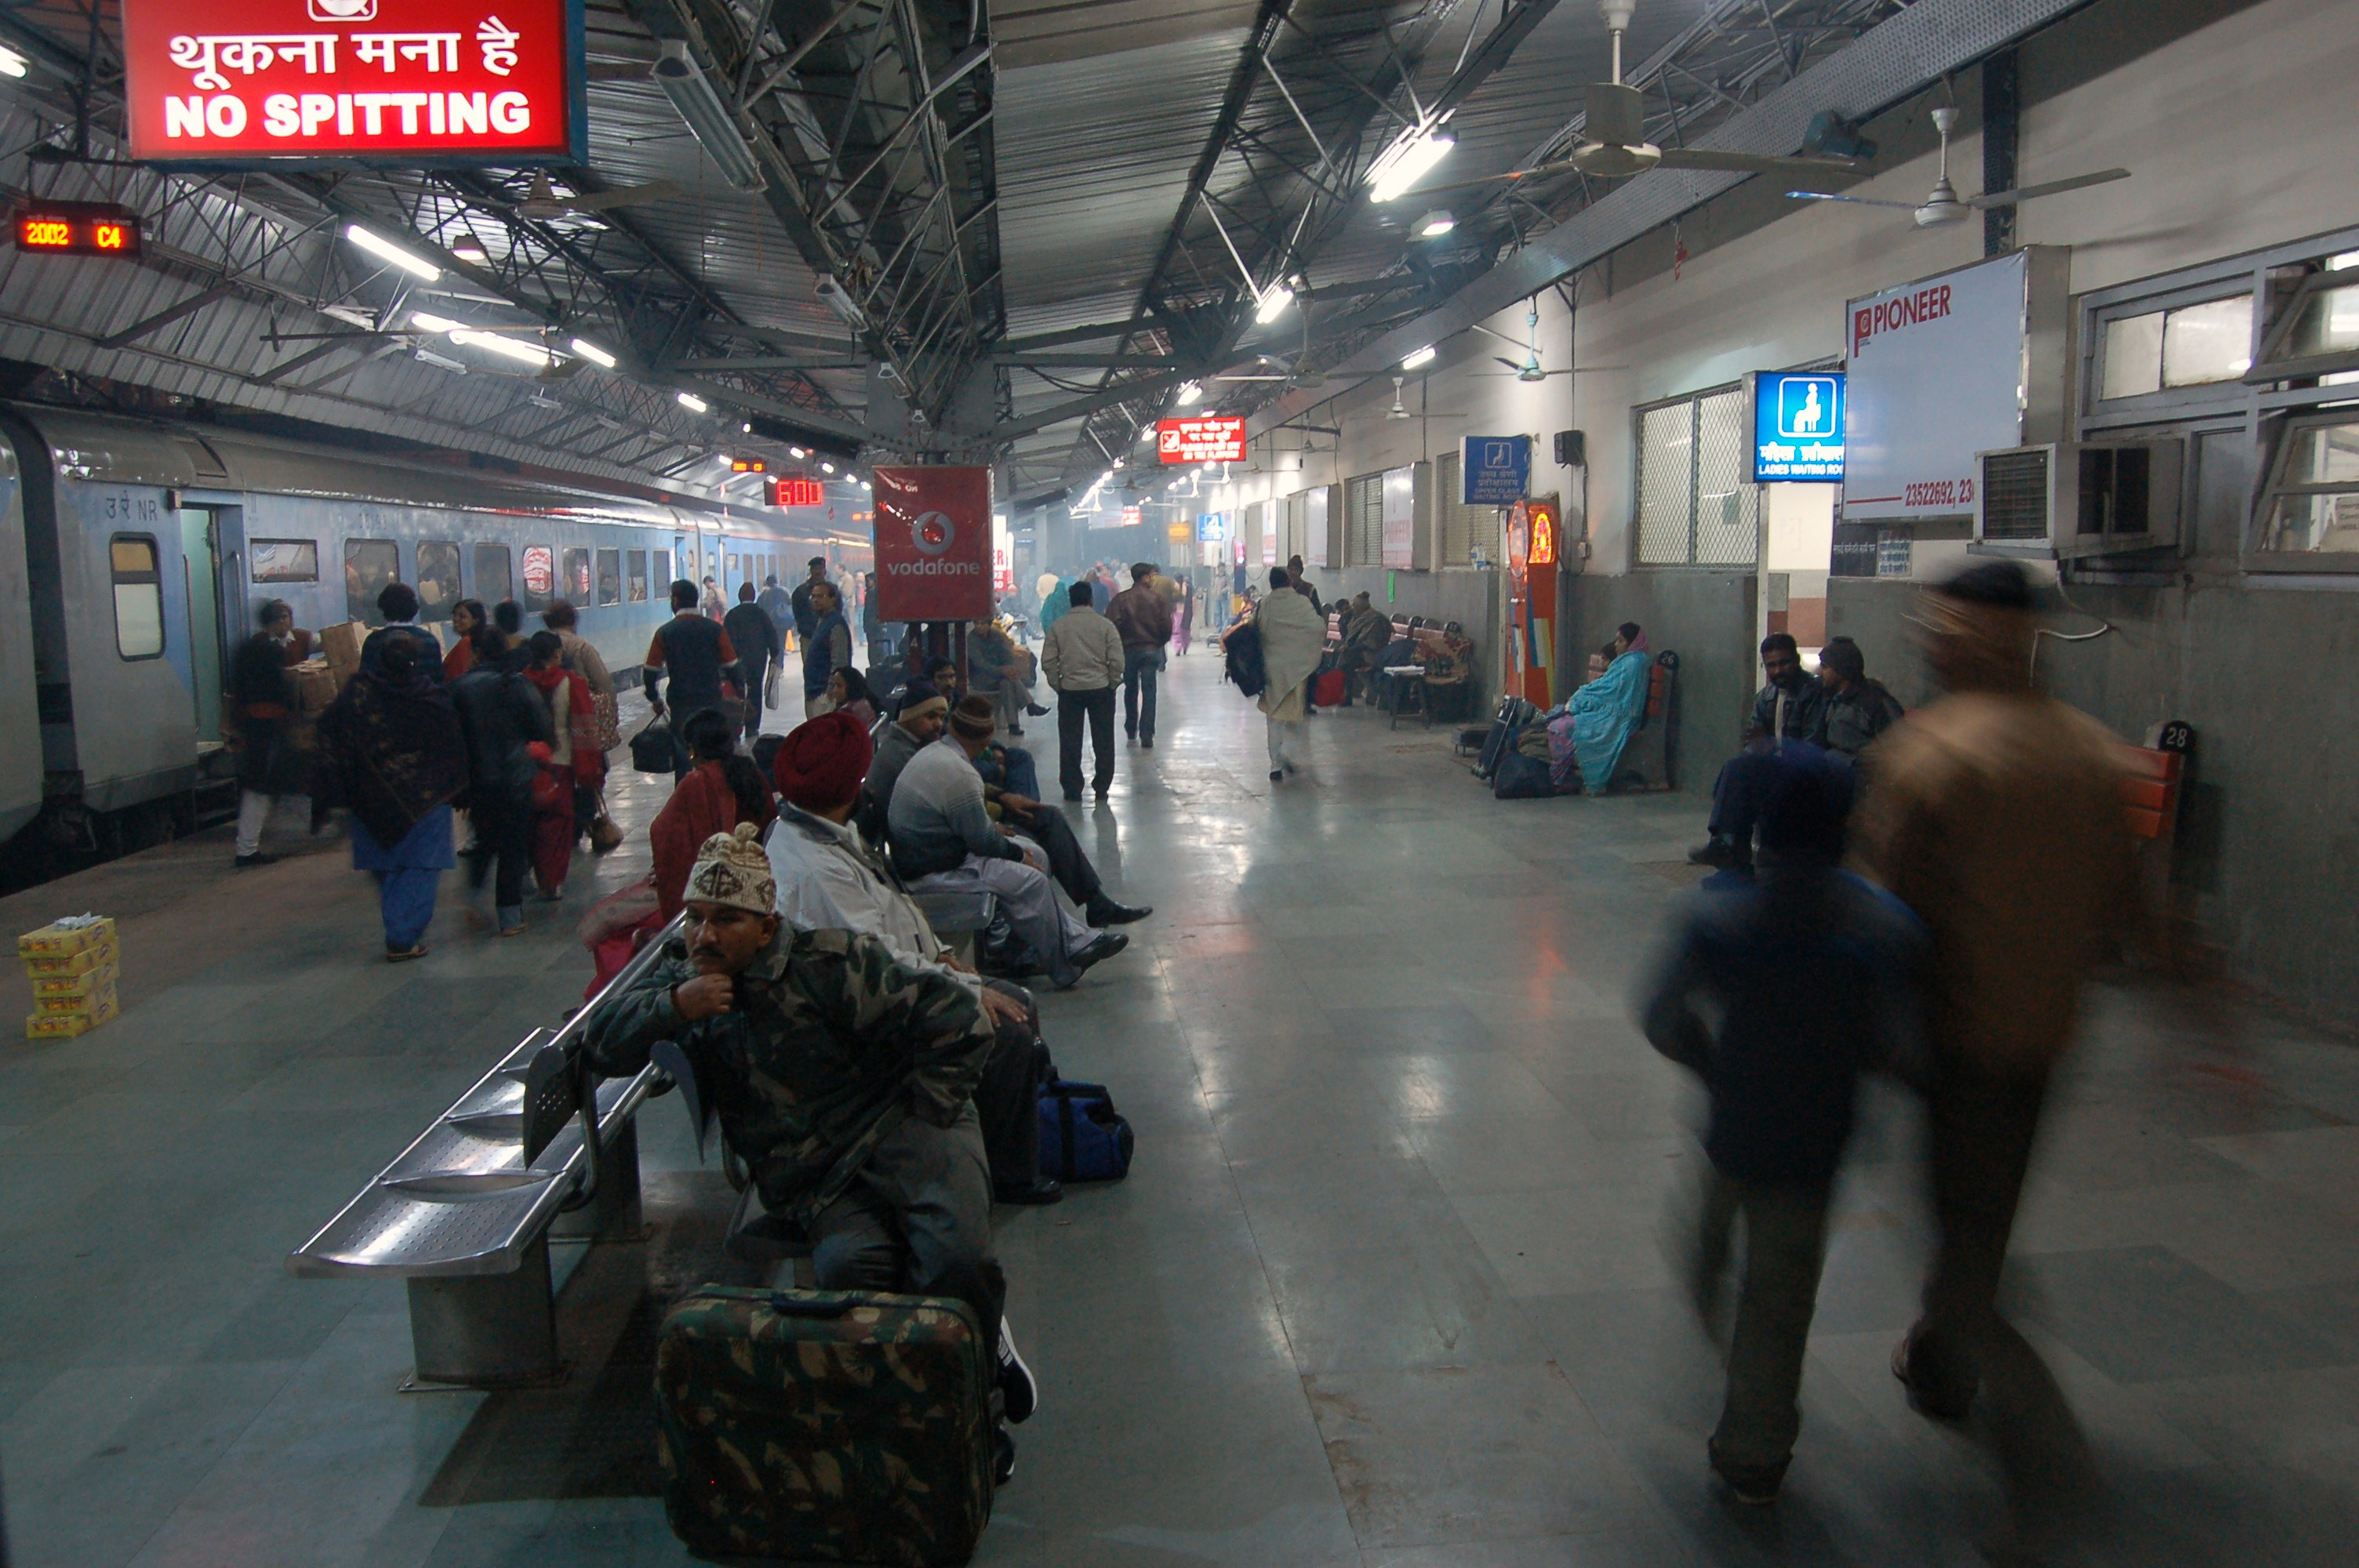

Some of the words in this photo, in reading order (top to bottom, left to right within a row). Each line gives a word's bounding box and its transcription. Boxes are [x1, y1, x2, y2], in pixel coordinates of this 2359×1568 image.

[165, 32, 340, 94] थूकना
[351, 29, 463, 74] मना
[471, 11, 522, 80] हेै
[165, 95, 250, 140] NO
[261, 90, 533, 140] SPITTING
[1872, 281, 1954, 336] PIONEER
[776, 479, 824, 509] 6:00
[1903, 478, 1957, 509] 23522692,
[885, 554, 981, 578] vodafone